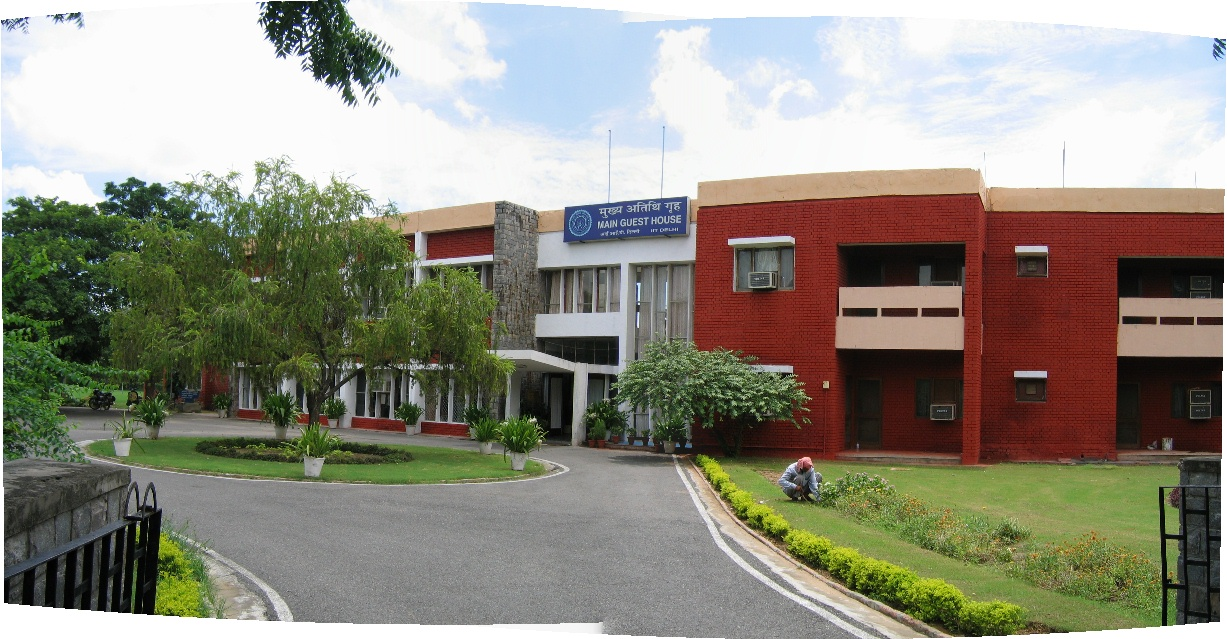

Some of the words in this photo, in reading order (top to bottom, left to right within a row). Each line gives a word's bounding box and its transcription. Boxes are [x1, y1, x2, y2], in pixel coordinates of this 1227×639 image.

[595, 216, 620, 231] MAIN
[595, 203, 625, 219] मुख्य
[615, 213, 650, 230] GUEST
[625, 197, 663, 214] अतिथि
[649, 212, 683, 227] HOUSE
[663, 198, 685, 215] गृह